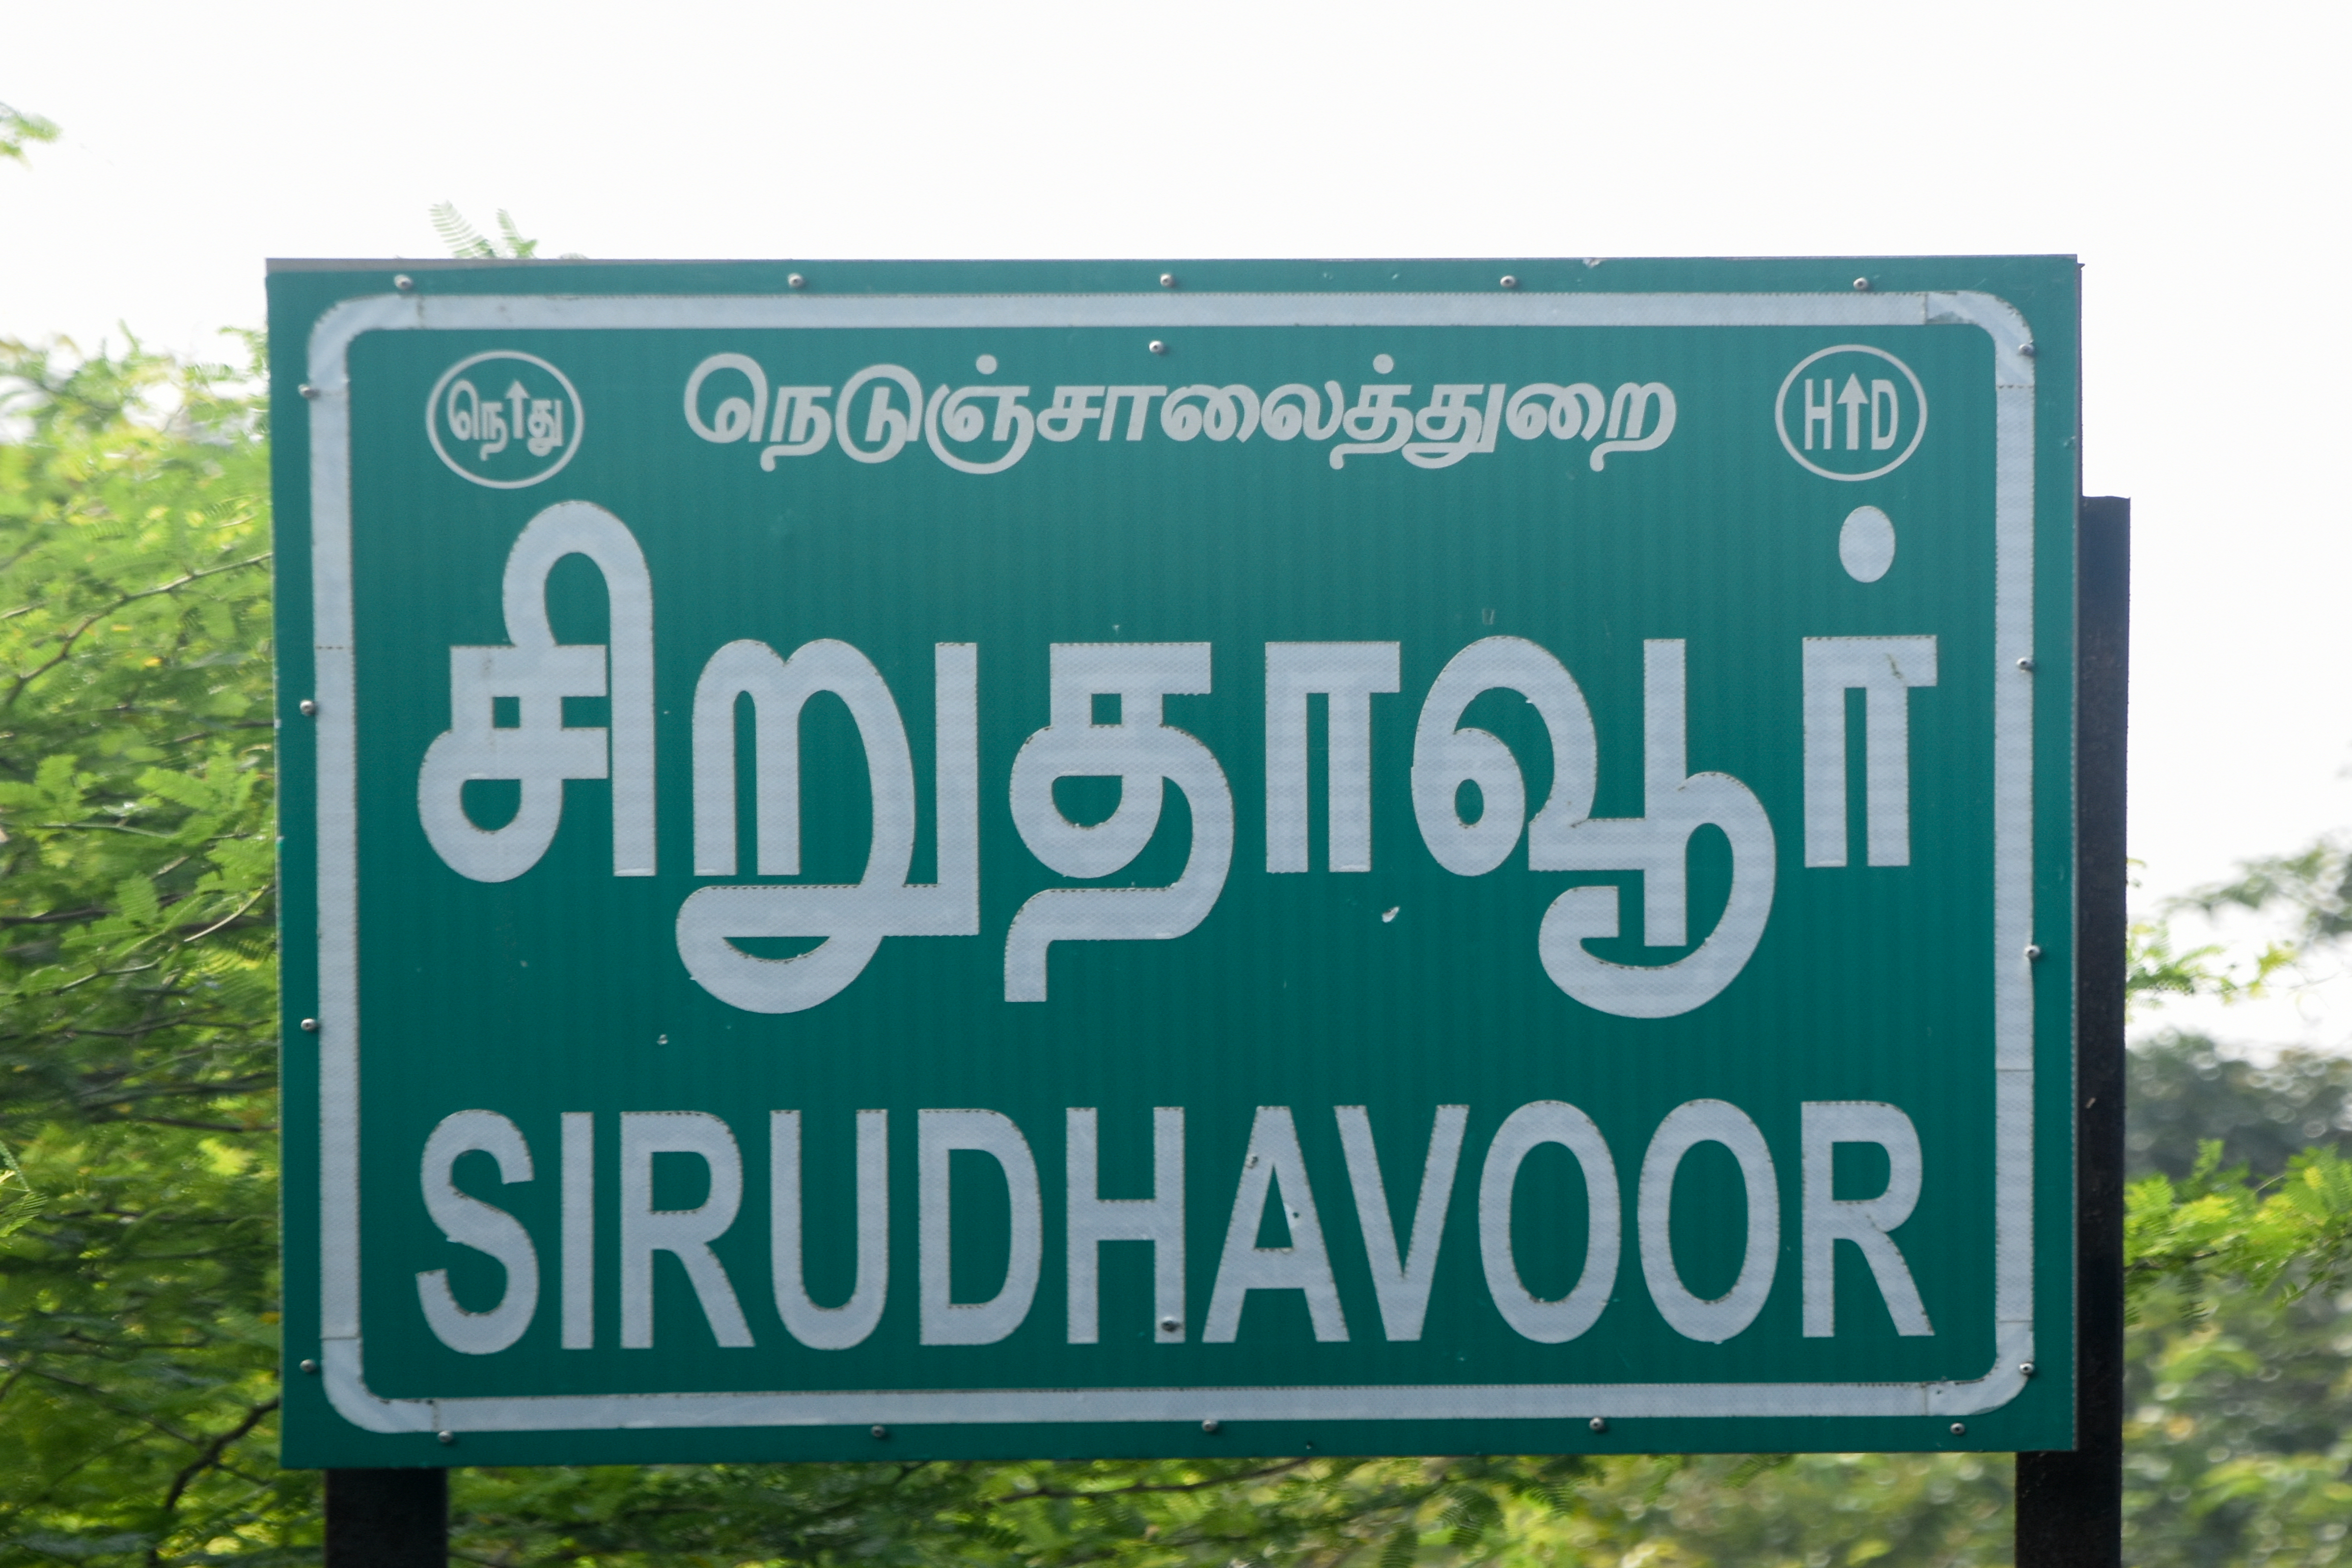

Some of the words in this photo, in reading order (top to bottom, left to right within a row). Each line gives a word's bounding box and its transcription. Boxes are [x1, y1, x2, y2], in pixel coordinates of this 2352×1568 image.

[440, 372, 572, 465] நெ↑து
[677, 344, 1685, 479] நெடுஞ்சாலைத்துறை
[405, 494, 1941, 1032] சிறுதாவூா்
[405, 1095, 1937, 1359] SIRUDHAVOOR